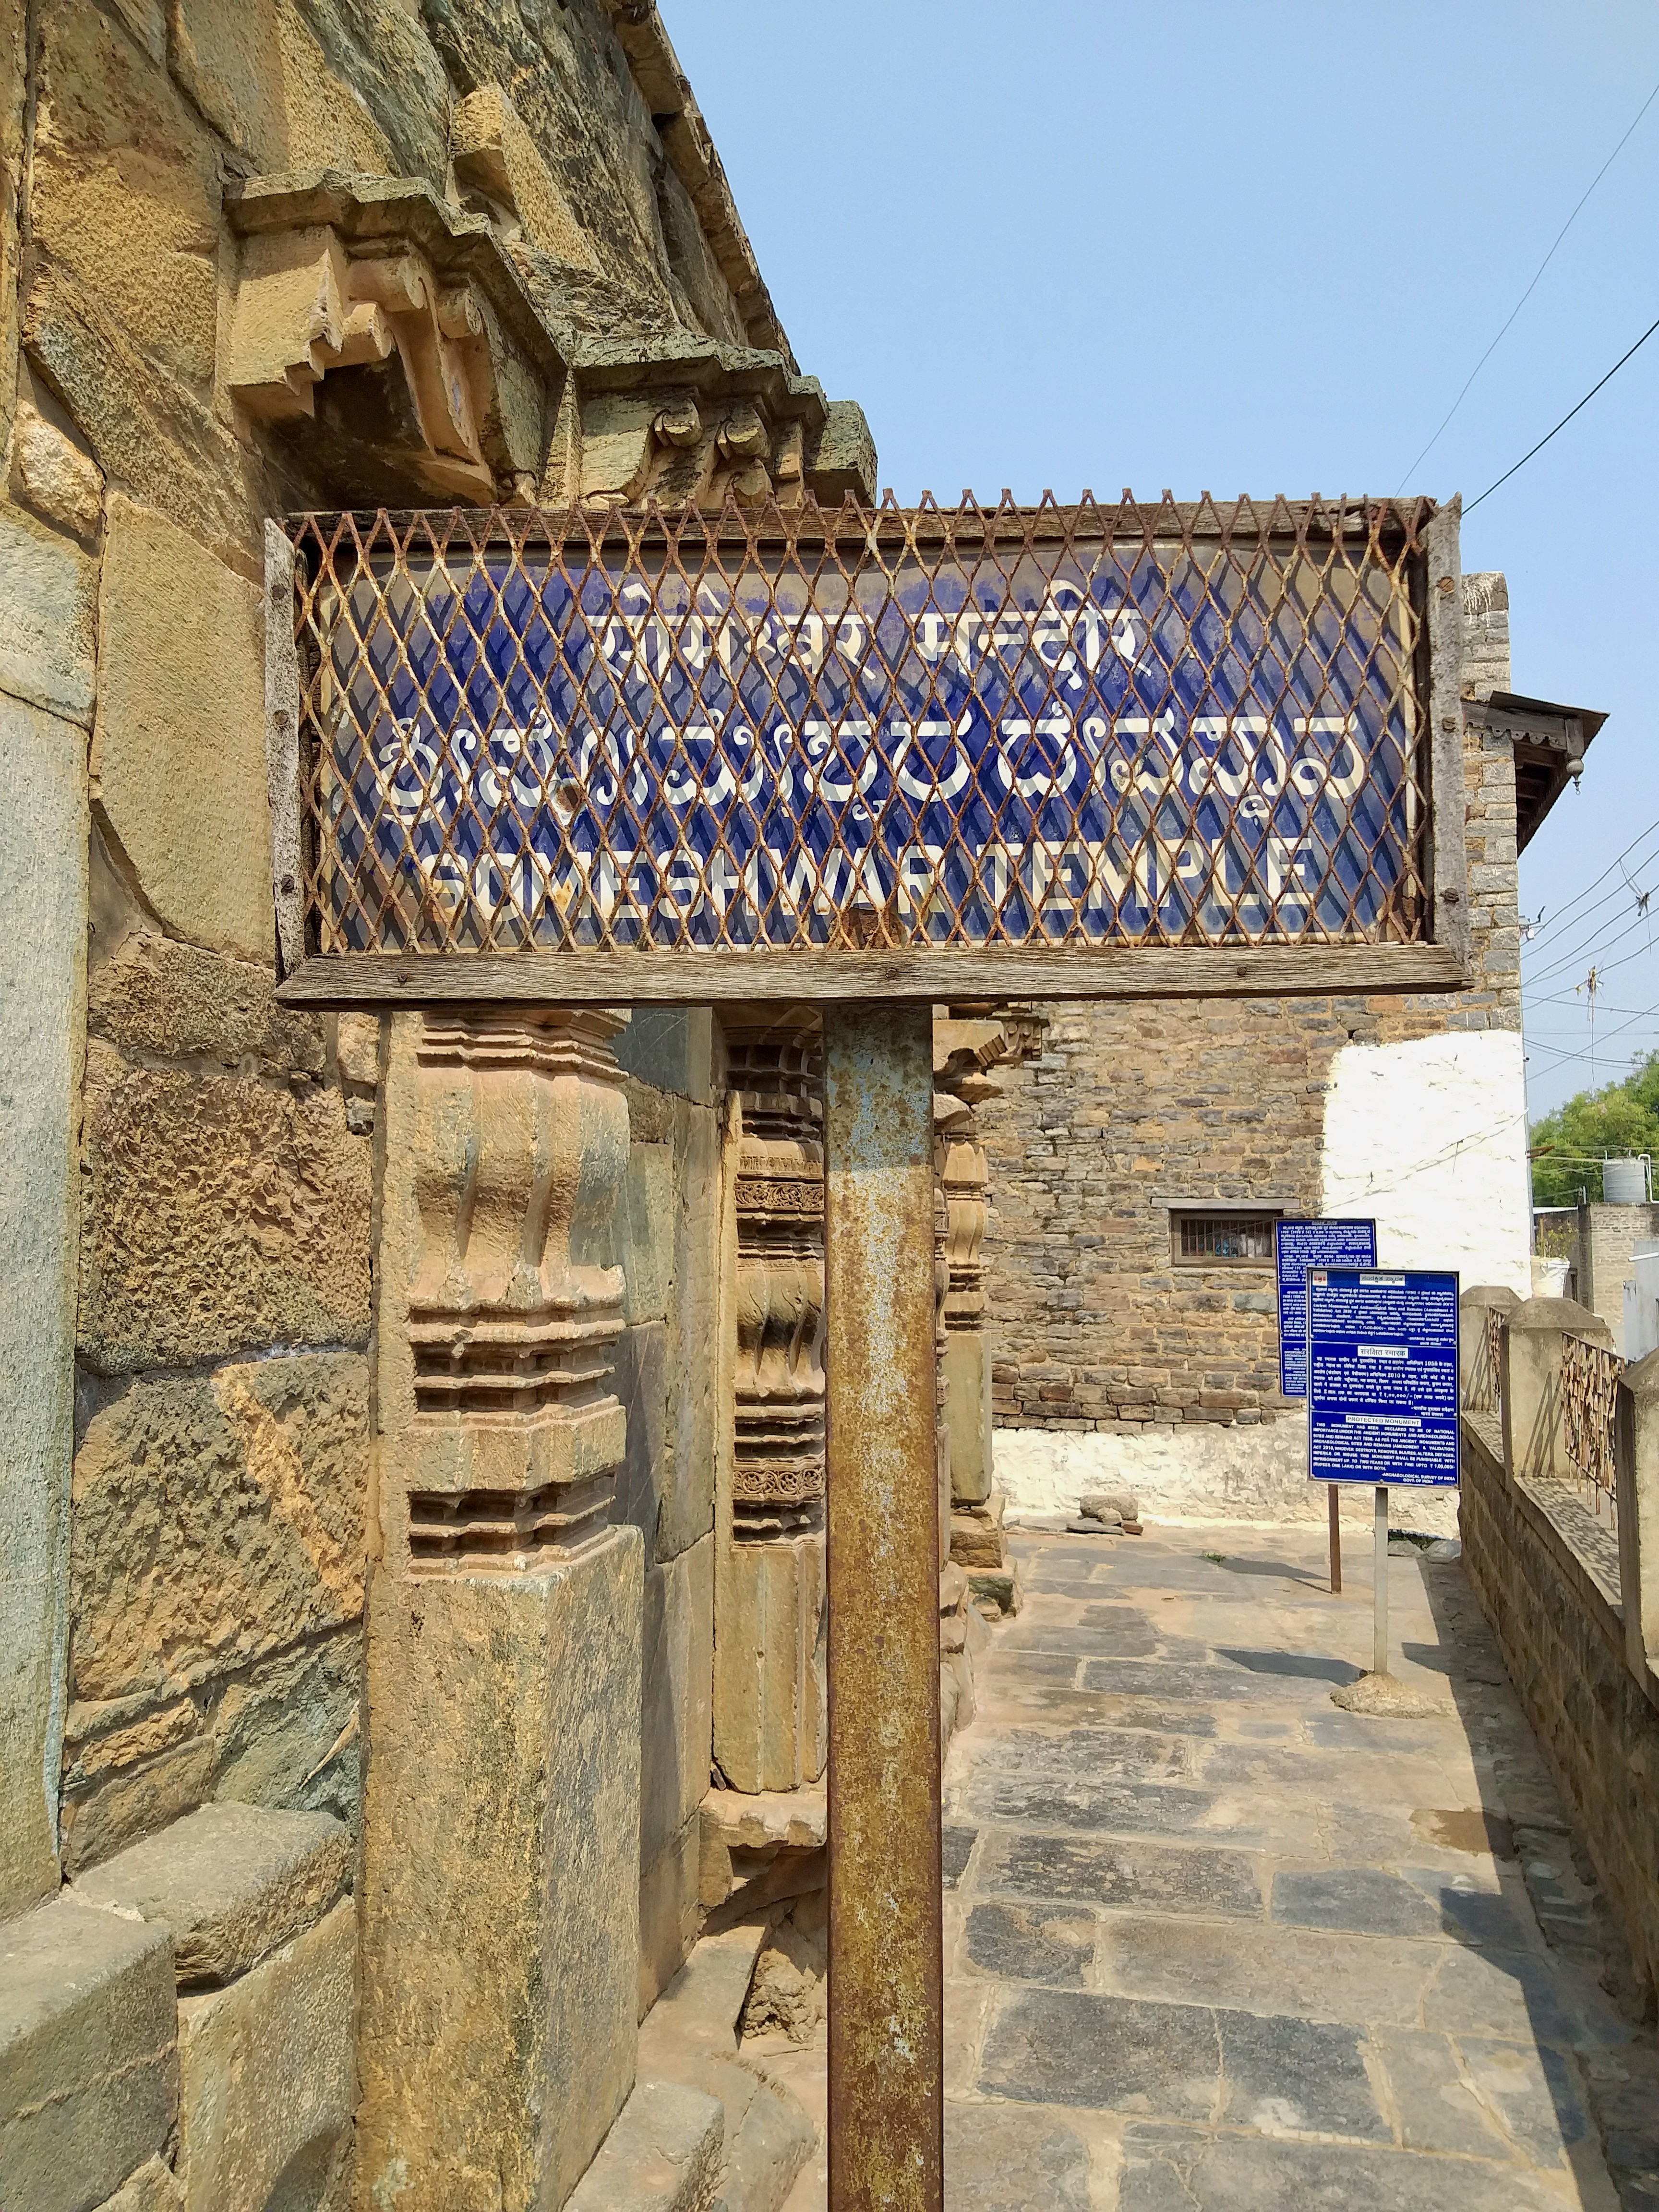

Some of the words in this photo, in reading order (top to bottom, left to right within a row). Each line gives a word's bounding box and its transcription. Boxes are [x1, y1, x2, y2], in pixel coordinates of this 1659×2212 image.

[582, 576, 879, 687] सोमेश्वर
[906, 574, 1156, 691] मन्दीर
[369, 699, 768, 834] ಶ್ರೀಪೋಮ
[767, 704, 979, 824] ಶ್ವರ
[988, 691, 1375, 826] ದೇವಸ್ಥಾನ
[418, 839, 954, 928] SOMESHWAR
[972, 832, 1317, 918] TEMPLE
[1358, 1272, 1386, 1285] ಸಂರಕ್ಷಿತ
[1383, 1272, 1406, 1284] ಸ್ಕಾರಳ
[1359, 1344, 1385, 1358] संरक्षित
[1381, 1347, 1407, 1358] स्मारक
[1345, 1415, 1385, 1425] PROTECTED
[1382, 1417, 1421, 1429] MONUMENT